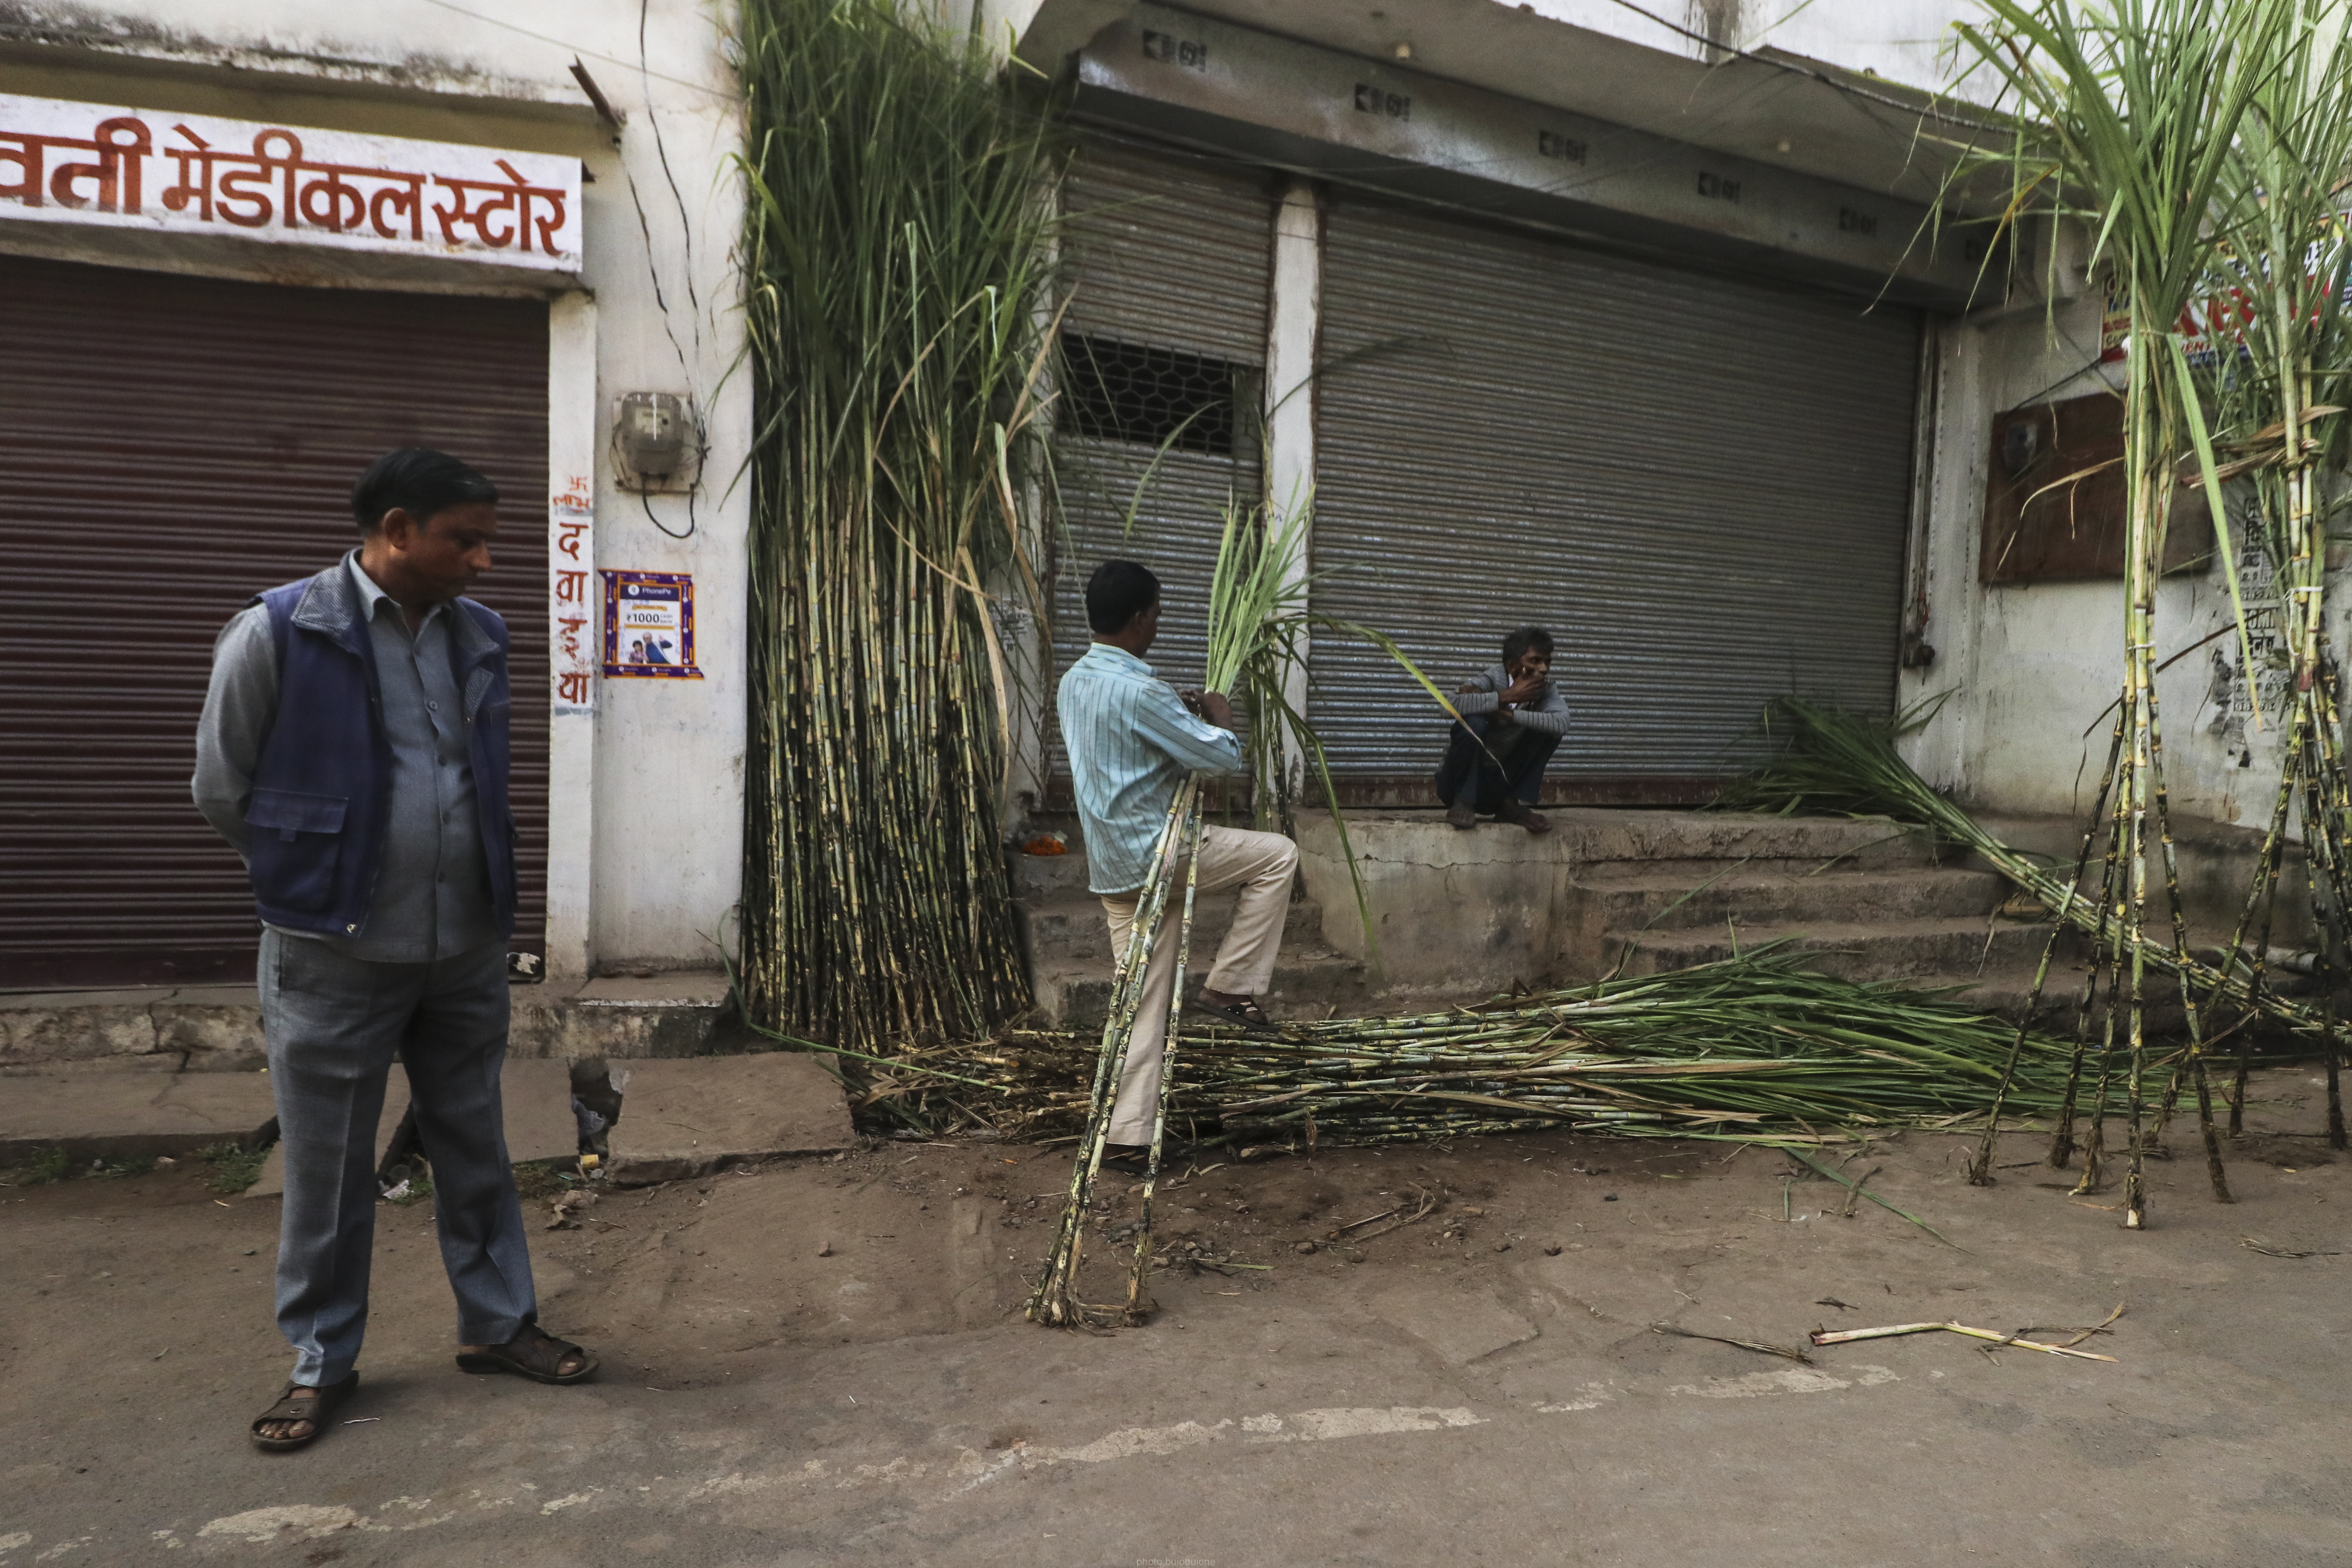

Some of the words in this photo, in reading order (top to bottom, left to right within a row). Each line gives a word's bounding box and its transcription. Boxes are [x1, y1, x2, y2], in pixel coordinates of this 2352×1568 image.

[0, 114, 154, 217] वती
[159, 122, 427, 243] मेडीकल
[430, 157, 565, 256] स्टोर
[555, 521, 590, 562] द
[555, 569, 589, 604] वा
[555, 617, 589, 661] इ
[558, 672, 592, 704] या